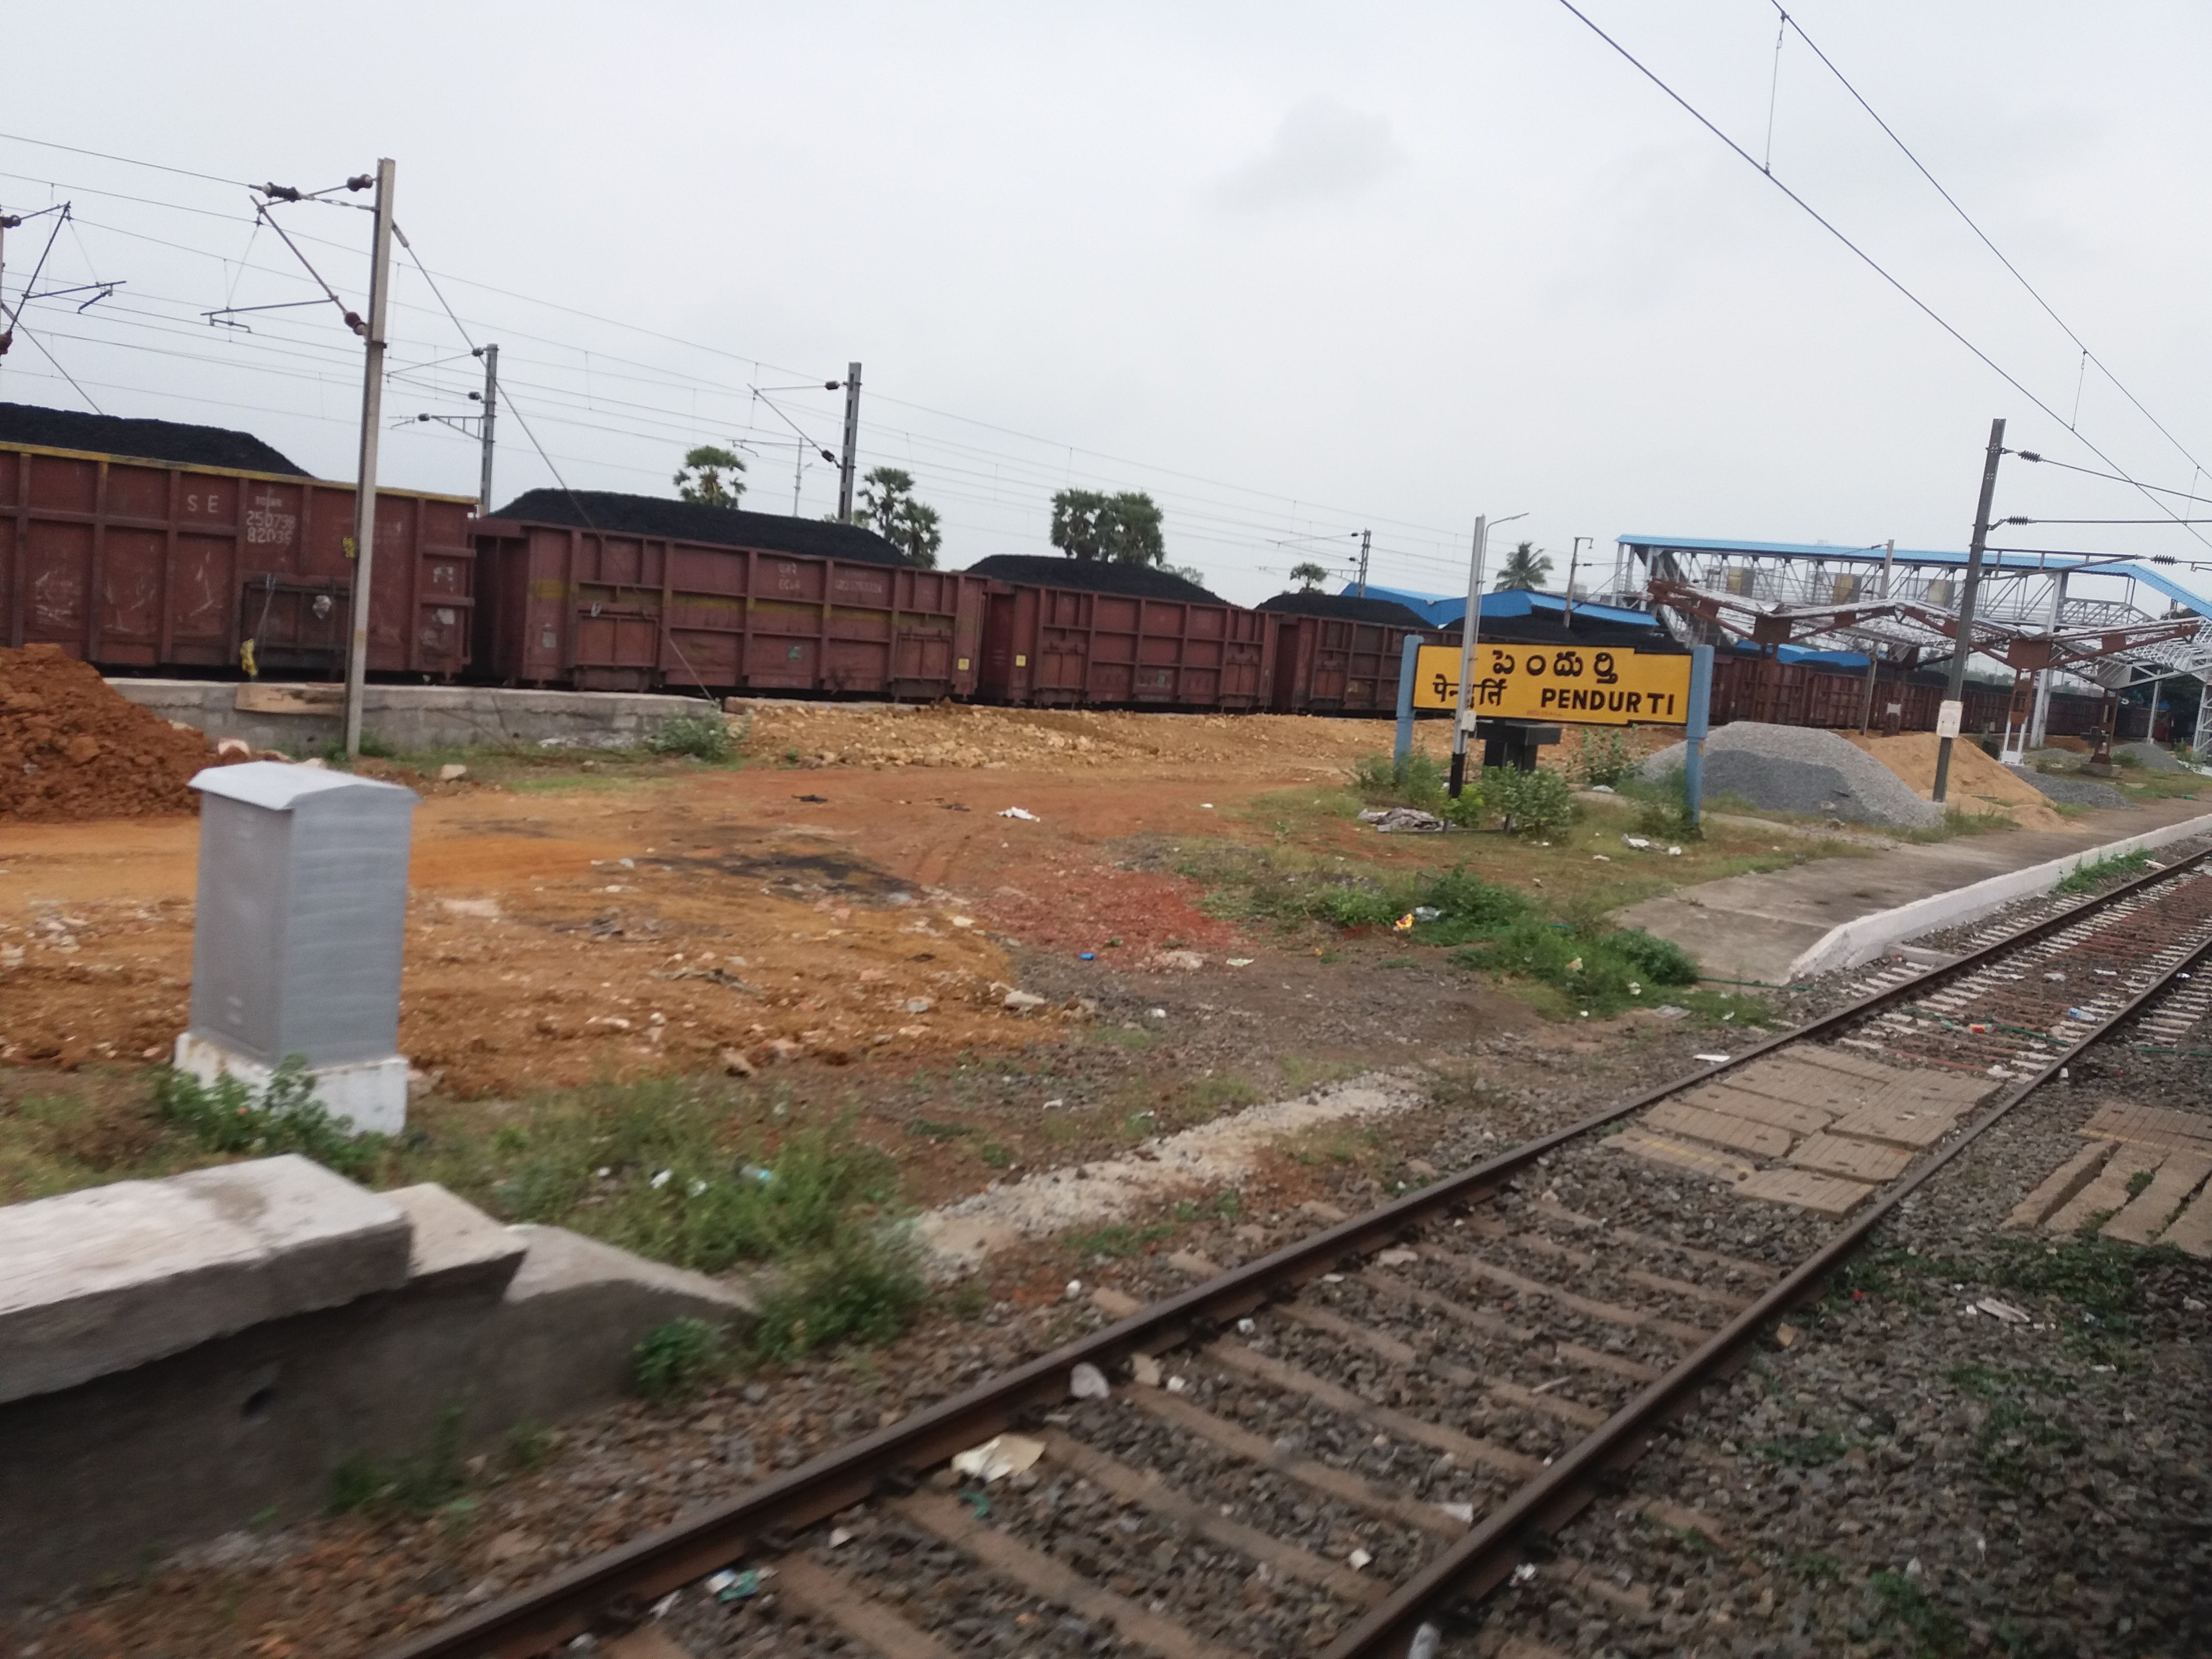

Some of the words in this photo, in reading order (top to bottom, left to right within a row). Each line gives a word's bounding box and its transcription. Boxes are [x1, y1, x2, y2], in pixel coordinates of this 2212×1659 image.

[1491, 646, 1620, 687] పెందుర్తి
[1430, 669, 1508, 711] पेन्दुर्ति
[1535, 685, 1676, 719] PENDURTI